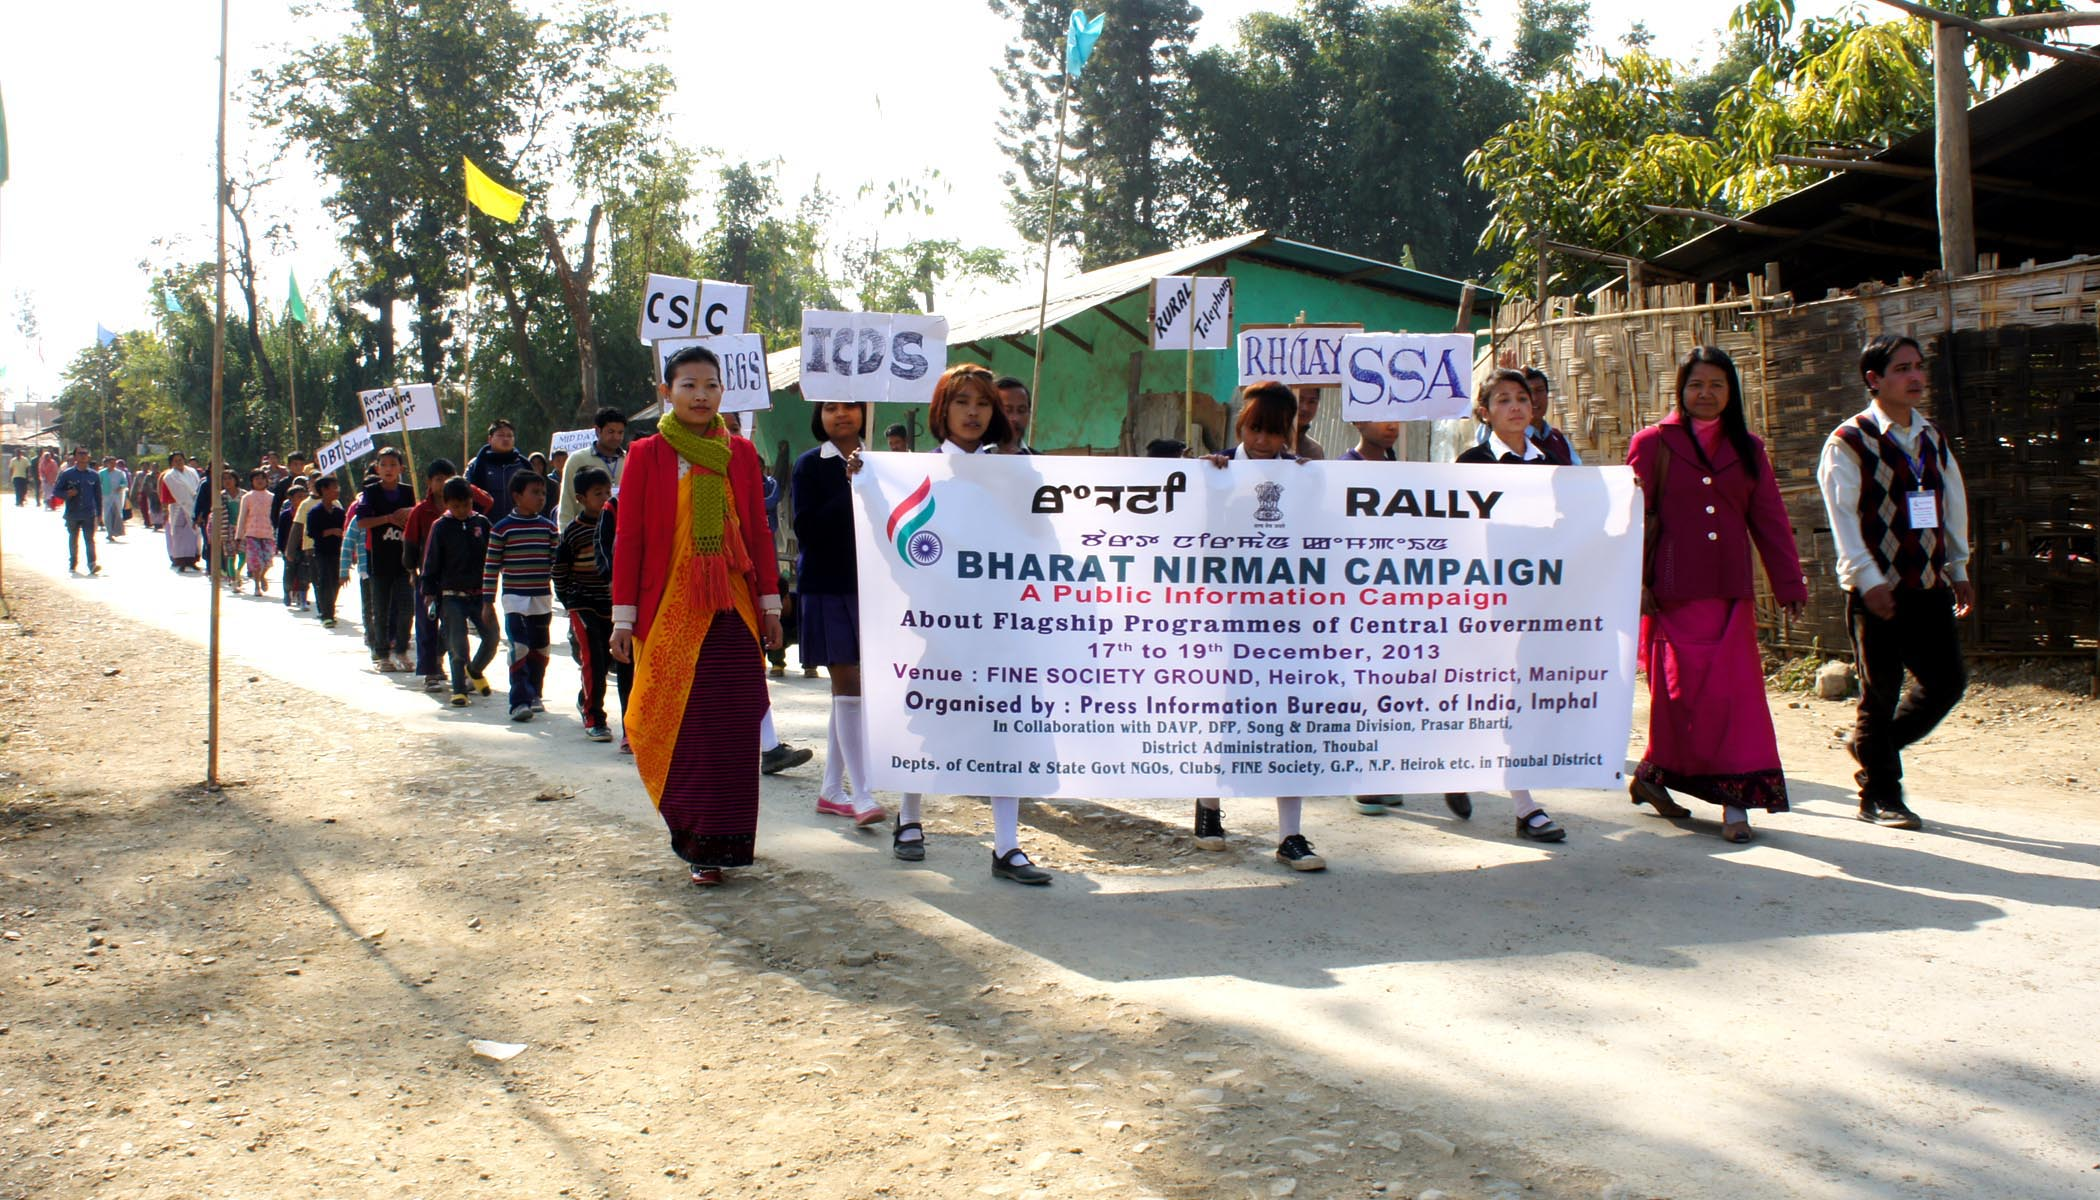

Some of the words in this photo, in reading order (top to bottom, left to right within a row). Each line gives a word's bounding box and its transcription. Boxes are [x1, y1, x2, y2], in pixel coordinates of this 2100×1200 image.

[642, 277, 739, 341] CSC
[1149, 276, 1199, 345] RURAL
[1189, 272, 1237, 345] Telepony
[719, 341, 767, 397] EGS
[799, 316, 930, 385] ICDS
[1234, 328, 1345, 385] RH(IAY
[1343, 334, 1471, 411] SSA
[357, 383, 391, 414] Rural
[361, 387, 420, 429] Drinking
[369, 397, 419, 435] Water
[313, 435, 353, 473] DBT
[1022, 466, 1193, 517] ꯔꯦꯜꯂꯤ
[1342, 481, 1506, 522] RALLY
[1077, 527, 1160, 553] ꯕꯥꯔꯇ
[1170, 532, 1292, 553] ꯅꯤꯔꯃꯥꯟ
[1294, 527, 1453, 555] ꯀꯦꯝꯄꯦꯢꯟ
[950, 545, 1137, 587] BHARAT
[1151, 551, 1332, 587] NIRMAN
[1342, 545, 1567, 590] CAMPAIGN
[1015, 579, 1047, 604] A
[1052, 579, 1156, 607] Public
[1164, 580, 1350, 609] Information
[1353, 580, 1512, 614] Campaign
[898, 602, 985, 635] About
[991, 608, 1117, 638] Flagship
[1122, 611, 1303, 636] Programmes
[1308, 611, 1348, 638] of
[1345, 613, 1450, 636] Central
[1455, 611, 1602, 638] Government
[1080, 634, 1139, 660] 17th
[1133, 636, 1171, 666] to
[1172, 634, 1231, 664] 19th
[1226, 638, 1370, 665] December
[1377, 639, 1442, 664] 2013
[891, 660, 969, 687] Venue
[983, 659, 1044, 688] FINE
[1042, 660, 1144, 688] SOCIETY
[1149, 662, 1258, 688] GROUND
[1263, 662, 1341, 686] Heirok
[1351, 664, 1441, 690] Thoubal
[1441, 660, 1522, 688] District,
[1524, 659, 1610, 685] Manipur
[901, 686, 1028, 722] Organised
[1023, 690, 1061, 724] by
[1074, 690, 1138, 719] Press
[1141, 691, 1280, 721] Information
[1282, 690, 1369, 719] Bureau,
[1372, 688, 1433, 717] Govt.
[1436, 685, 1464, 717] of
[1459, 687, 1522, 719] India,
[1525, 690, 1597, 712] Imphal
[992, 717, 1013, 732] In
[1007, 711, 1119, 737] Collaboration
[1115, 717, 1157, 737] with
[1154, 716, 1199, 734] DAVP
[1200, 714, 1242, 739] DFP
[1244, 716, 1292, 735] Song
[1283, 713, 1309, 739] &
[1303, 715, 1354, 737] Drama
[1346, 714, 1417, 737] Division,
[1417, 711, 1466, 734] Prasar
[1465, 712, 1516, 734] Bharti,
[887, 750, 933, 776] Depts
[942, 750, 969, 776] of
[964, 752, 1030, 776] Central
[1022, 755, 1047, 779] &
[1043, 751, 1091, 778] State
[1083, 754, 1132, 779] Govt
[1123, 752, 1175, 781] NGOs,
[1136, 734, 1199, 758] District
[1178, 757, 1224, 778] Clubs
[1226, 755, 1269, 778] FINE
[1202, 734, 1317, 761] Administration,
[1266, 757, 1321, 778] Society
[1327, 758, 1361, 774] G.P.
[1319, 734, 1380, 758] Thoubal
[1365, 755, 1391, 773] N.P
[1397, 751, 1450, 780] Heirok
[1445, 753, 1479, 772] etc.
[1472, 747, 1497, 775] in
[1492, 749, 1556, 774] Thoubal
[1548, 745, 1606, 774] District